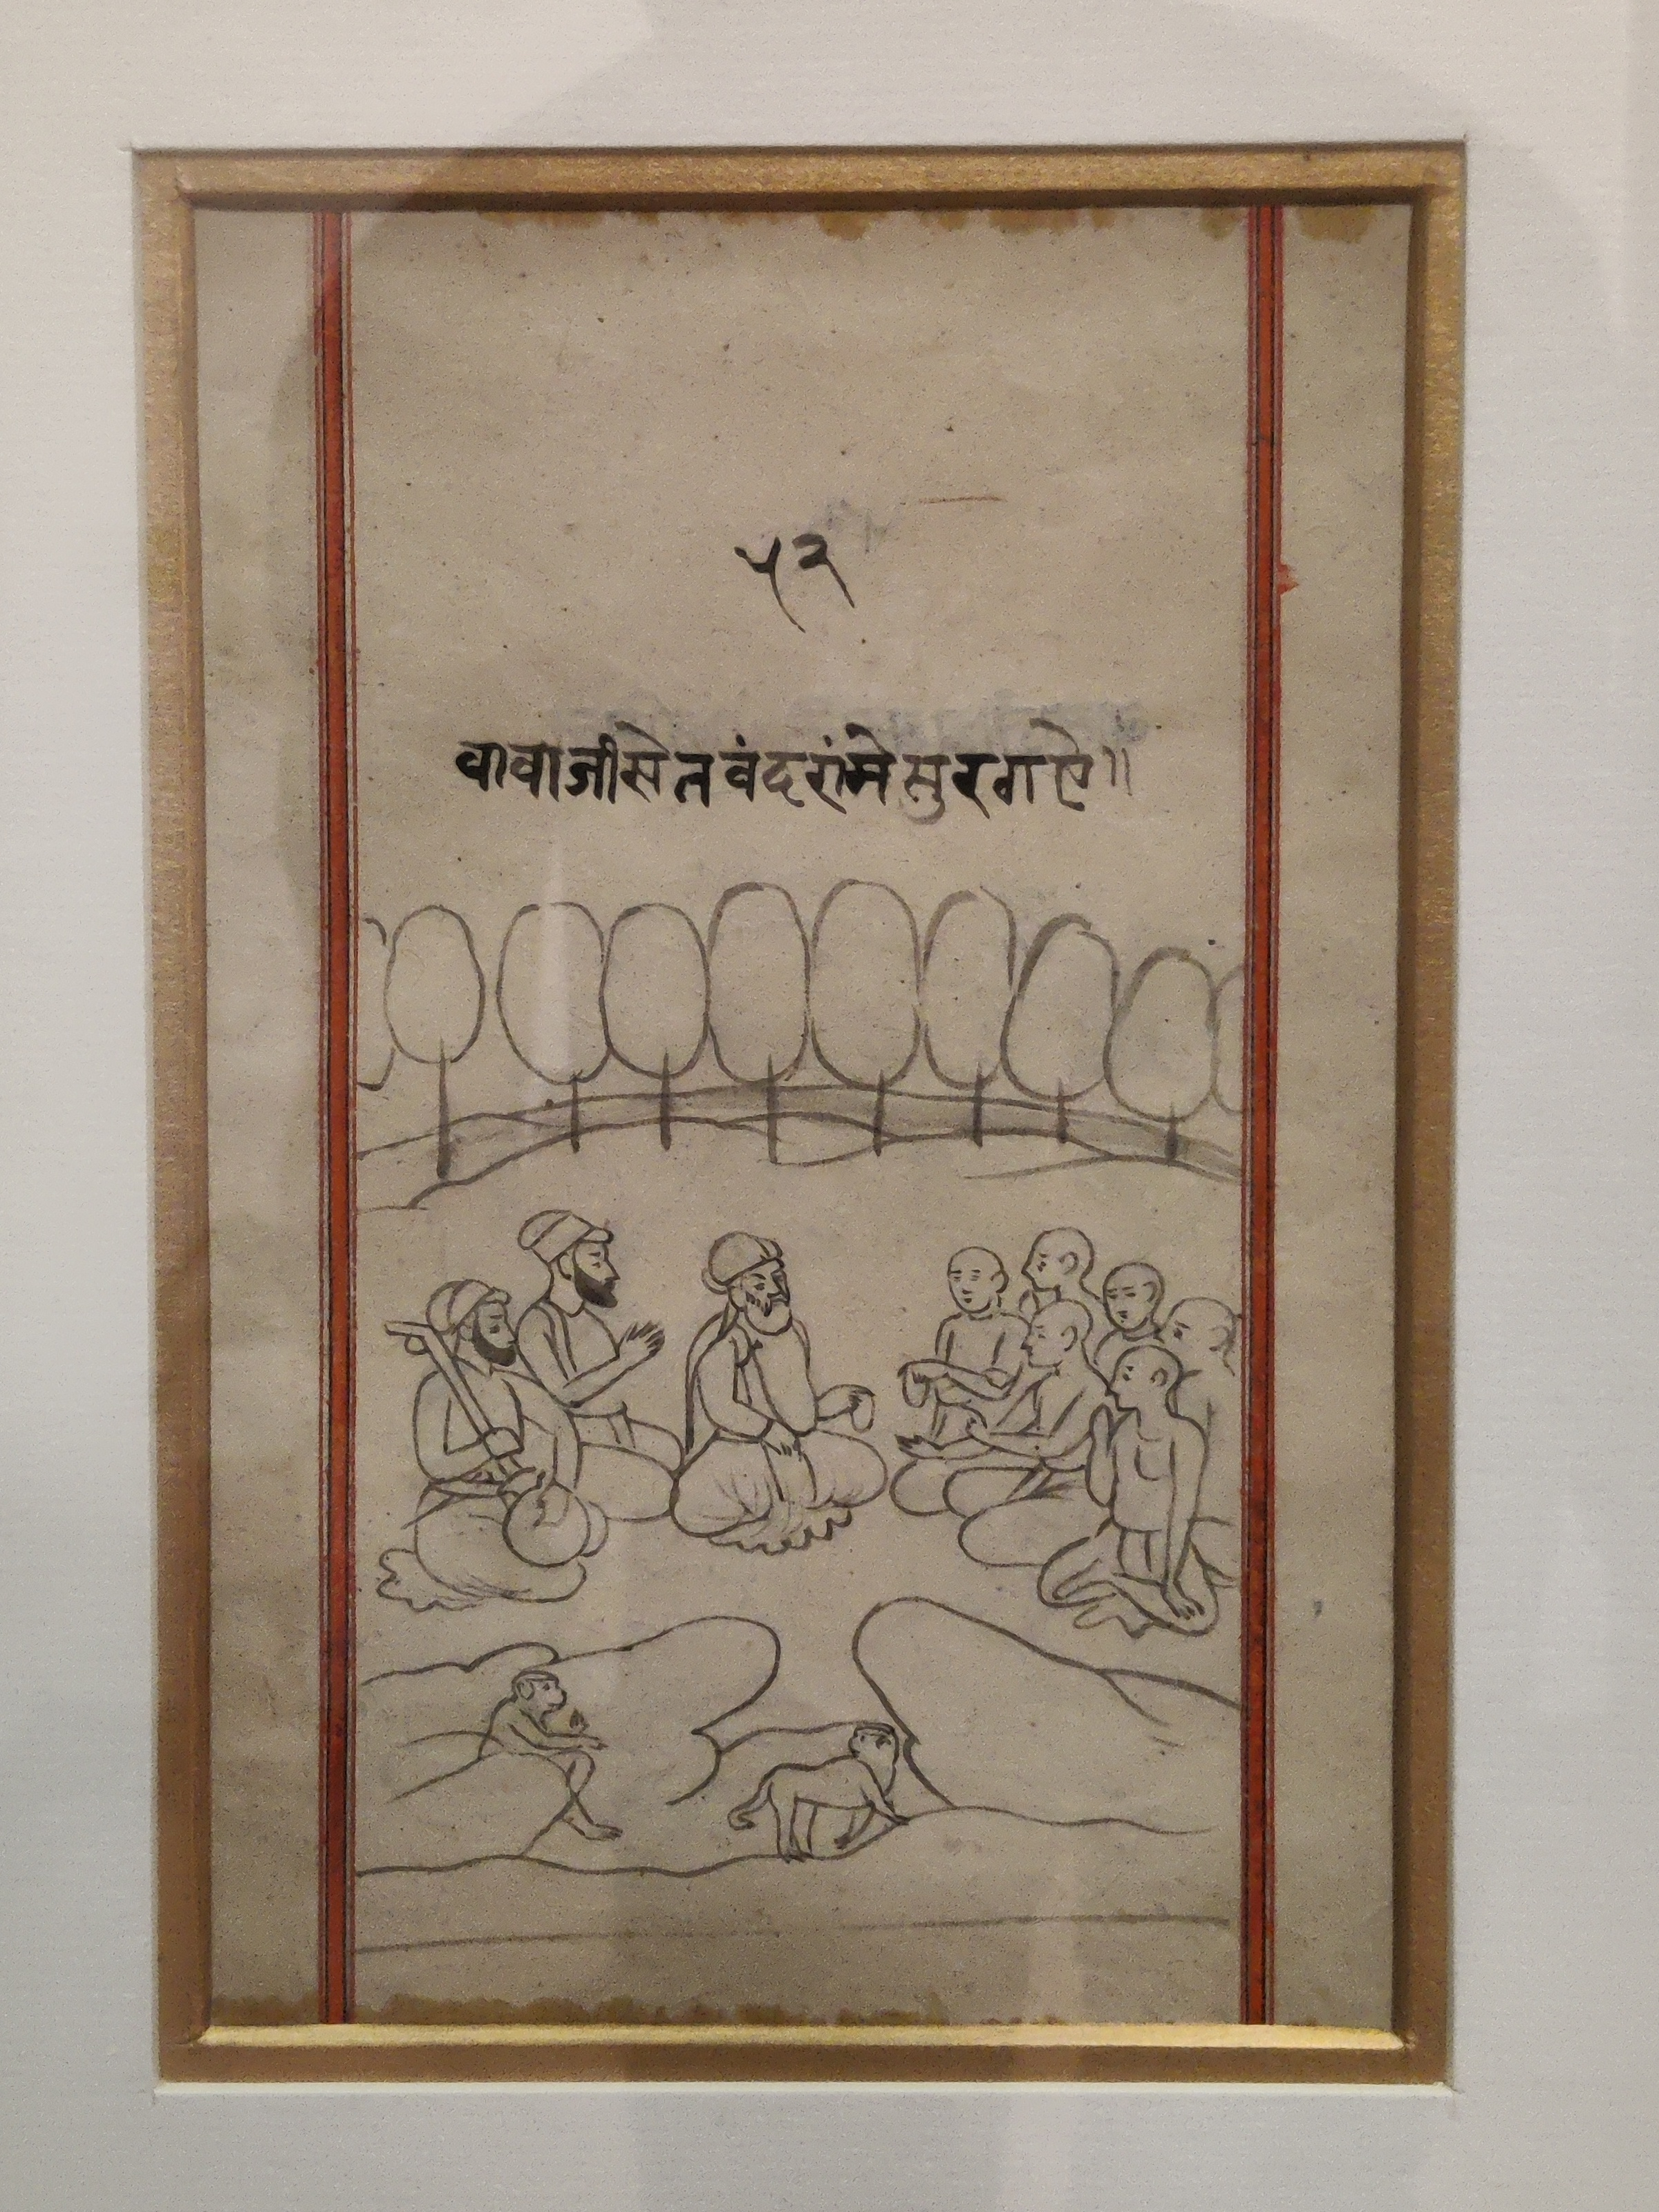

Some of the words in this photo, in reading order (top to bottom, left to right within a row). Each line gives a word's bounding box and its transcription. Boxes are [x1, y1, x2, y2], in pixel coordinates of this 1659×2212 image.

[452, 715, 897, 818] वावाजीसेतवंदरांमे
[897, 715, 1096, 827] सुरगऐ